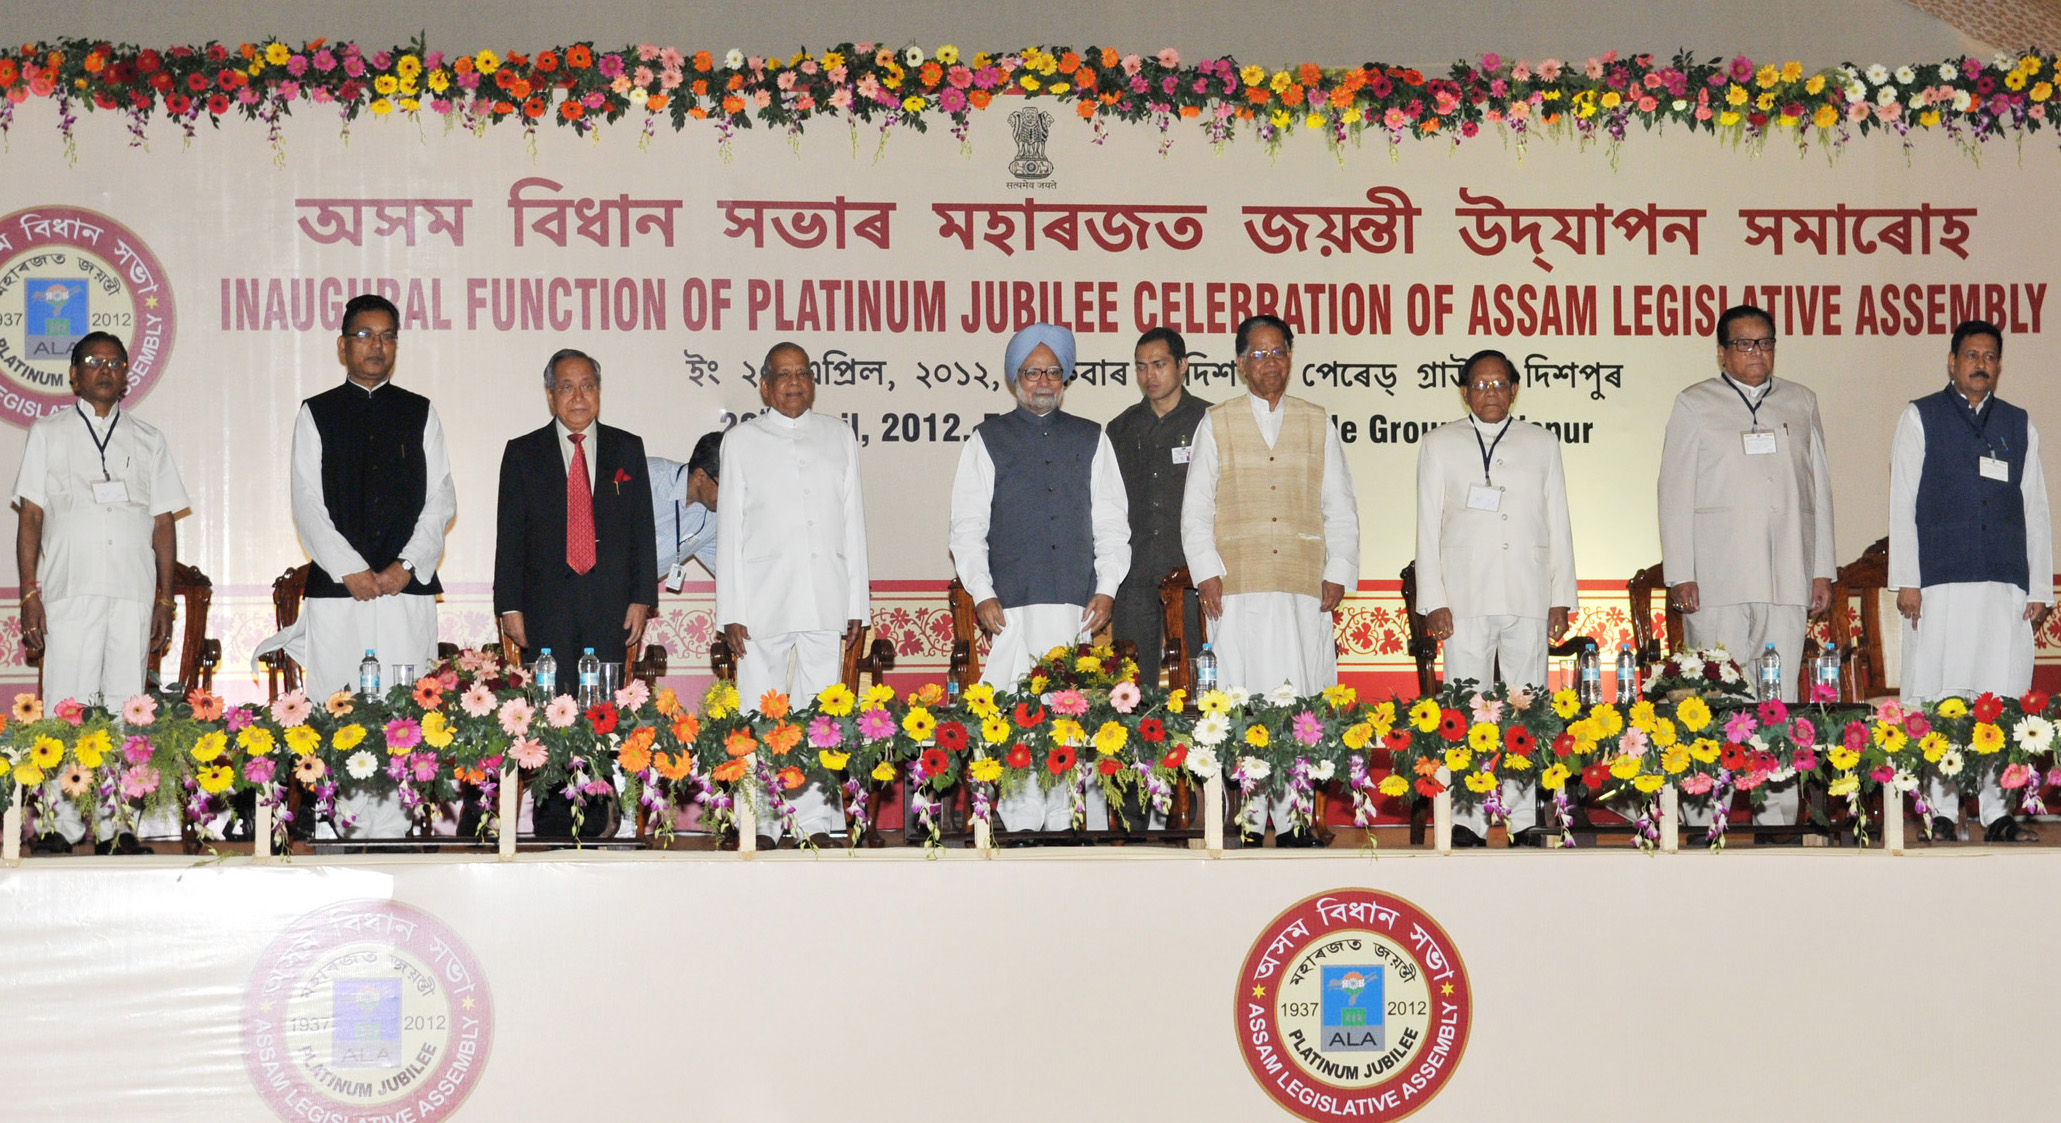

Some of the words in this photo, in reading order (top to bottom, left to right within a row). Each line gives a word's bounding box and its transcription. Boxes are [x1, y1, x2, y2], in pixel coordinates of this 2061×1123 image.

[72, 213, 109, 248] ন
[294, 190, 482, 258] অসম
[505, 172, 687, 252] বিধান
[715, 185, 899, 257] সভাৰ
[1001, 170, 1038, 195] सत्‍यमेव
[1034, 174, 1063, 195] जयते
[930, 192, 1210, 259] মহাৰজত
[1242, 178, 1431, 263] জয়ন্তী
[1443, 175, 1711, 276] উদ্যাপন
[1739, 198, 1984, 261] সমাৰোহ
[74, 250, 129, 300] জয়ন্তী
[88, 306, 134, 334] 2012
[108, 231, 162, 297] সভা
[130, 310, 167, 385] EMBLY
[217, 268, 457, 338] INAUGURAL
[460, 269, 672, 336] FUNCTION
[671, 341, 728, 392] ইং
[679, 269, 738, 337] OF
[740, 272, 952, 338] PLATINUM
[812, 346, 890, 394] প্ৰিল
[914, 357, 993, 389] ২০১২
[954, 268, 1124, 338] JUBILEE
[1064, 350, 1132, 392] বাৰ
[1128, 276, 1396, 342] CELEBRATION
[1300, 354, 1406, 404] পেৰেড্
[1397, 276, 1462, 342] OF
[1463, 278, 1603, 343] ASSAM
[1523, 352, 1622, 395] দিশপুৰ
[1606, 276, 1846, 343] LEGISLATIVE
[1852, 273, 2054, 339] ASSEMBLY
[876, 407, 965, 449] 2012
[1355, 402, 1440, 450] Gro
[253, 1017, 293, 1101] ASSAM
[255, 922, 329, 1001] অসম
[289, 1009, 334, 1035] 1937
[286, 1044, 379, 1101] PLATINUM
[291, 943, 383, 1007] মহাৰজত
[321, 899, 423, 947] বিধান
[373, 1037, 443, 1101] JUBILEE
[386, 953, 441, 1001] জয়ন্তী
[423, 931, 478, 1002] সভা
[416, 1014, 485, 1121] ASSEMBLY
[1244, 999, 1288, 1081] ASSAM
[1248, 911, 1314, 984] অসম
[1278, 993, 1322, 1022] 1937
[1283, 1027, 1363, 1084] PLATINUM
[1287, 934, 1366, 989] মহাৰজত
[1270, 1067, 1405, 1118] LEGISLATIVE
[1323, 1018, 1381, 1050] ALA
[1307, 884, 1405, 932] বিধান
[1359, 1020, 1422, 1083] JUBILEE
[1368, 938, 1421, 986] জয়ন্তী
[1382, 993, 1432, 1019] 2012
[1397, 997, 1461, 1104] ASSEMBLY
[1403, 922, 1457, 998] সভা